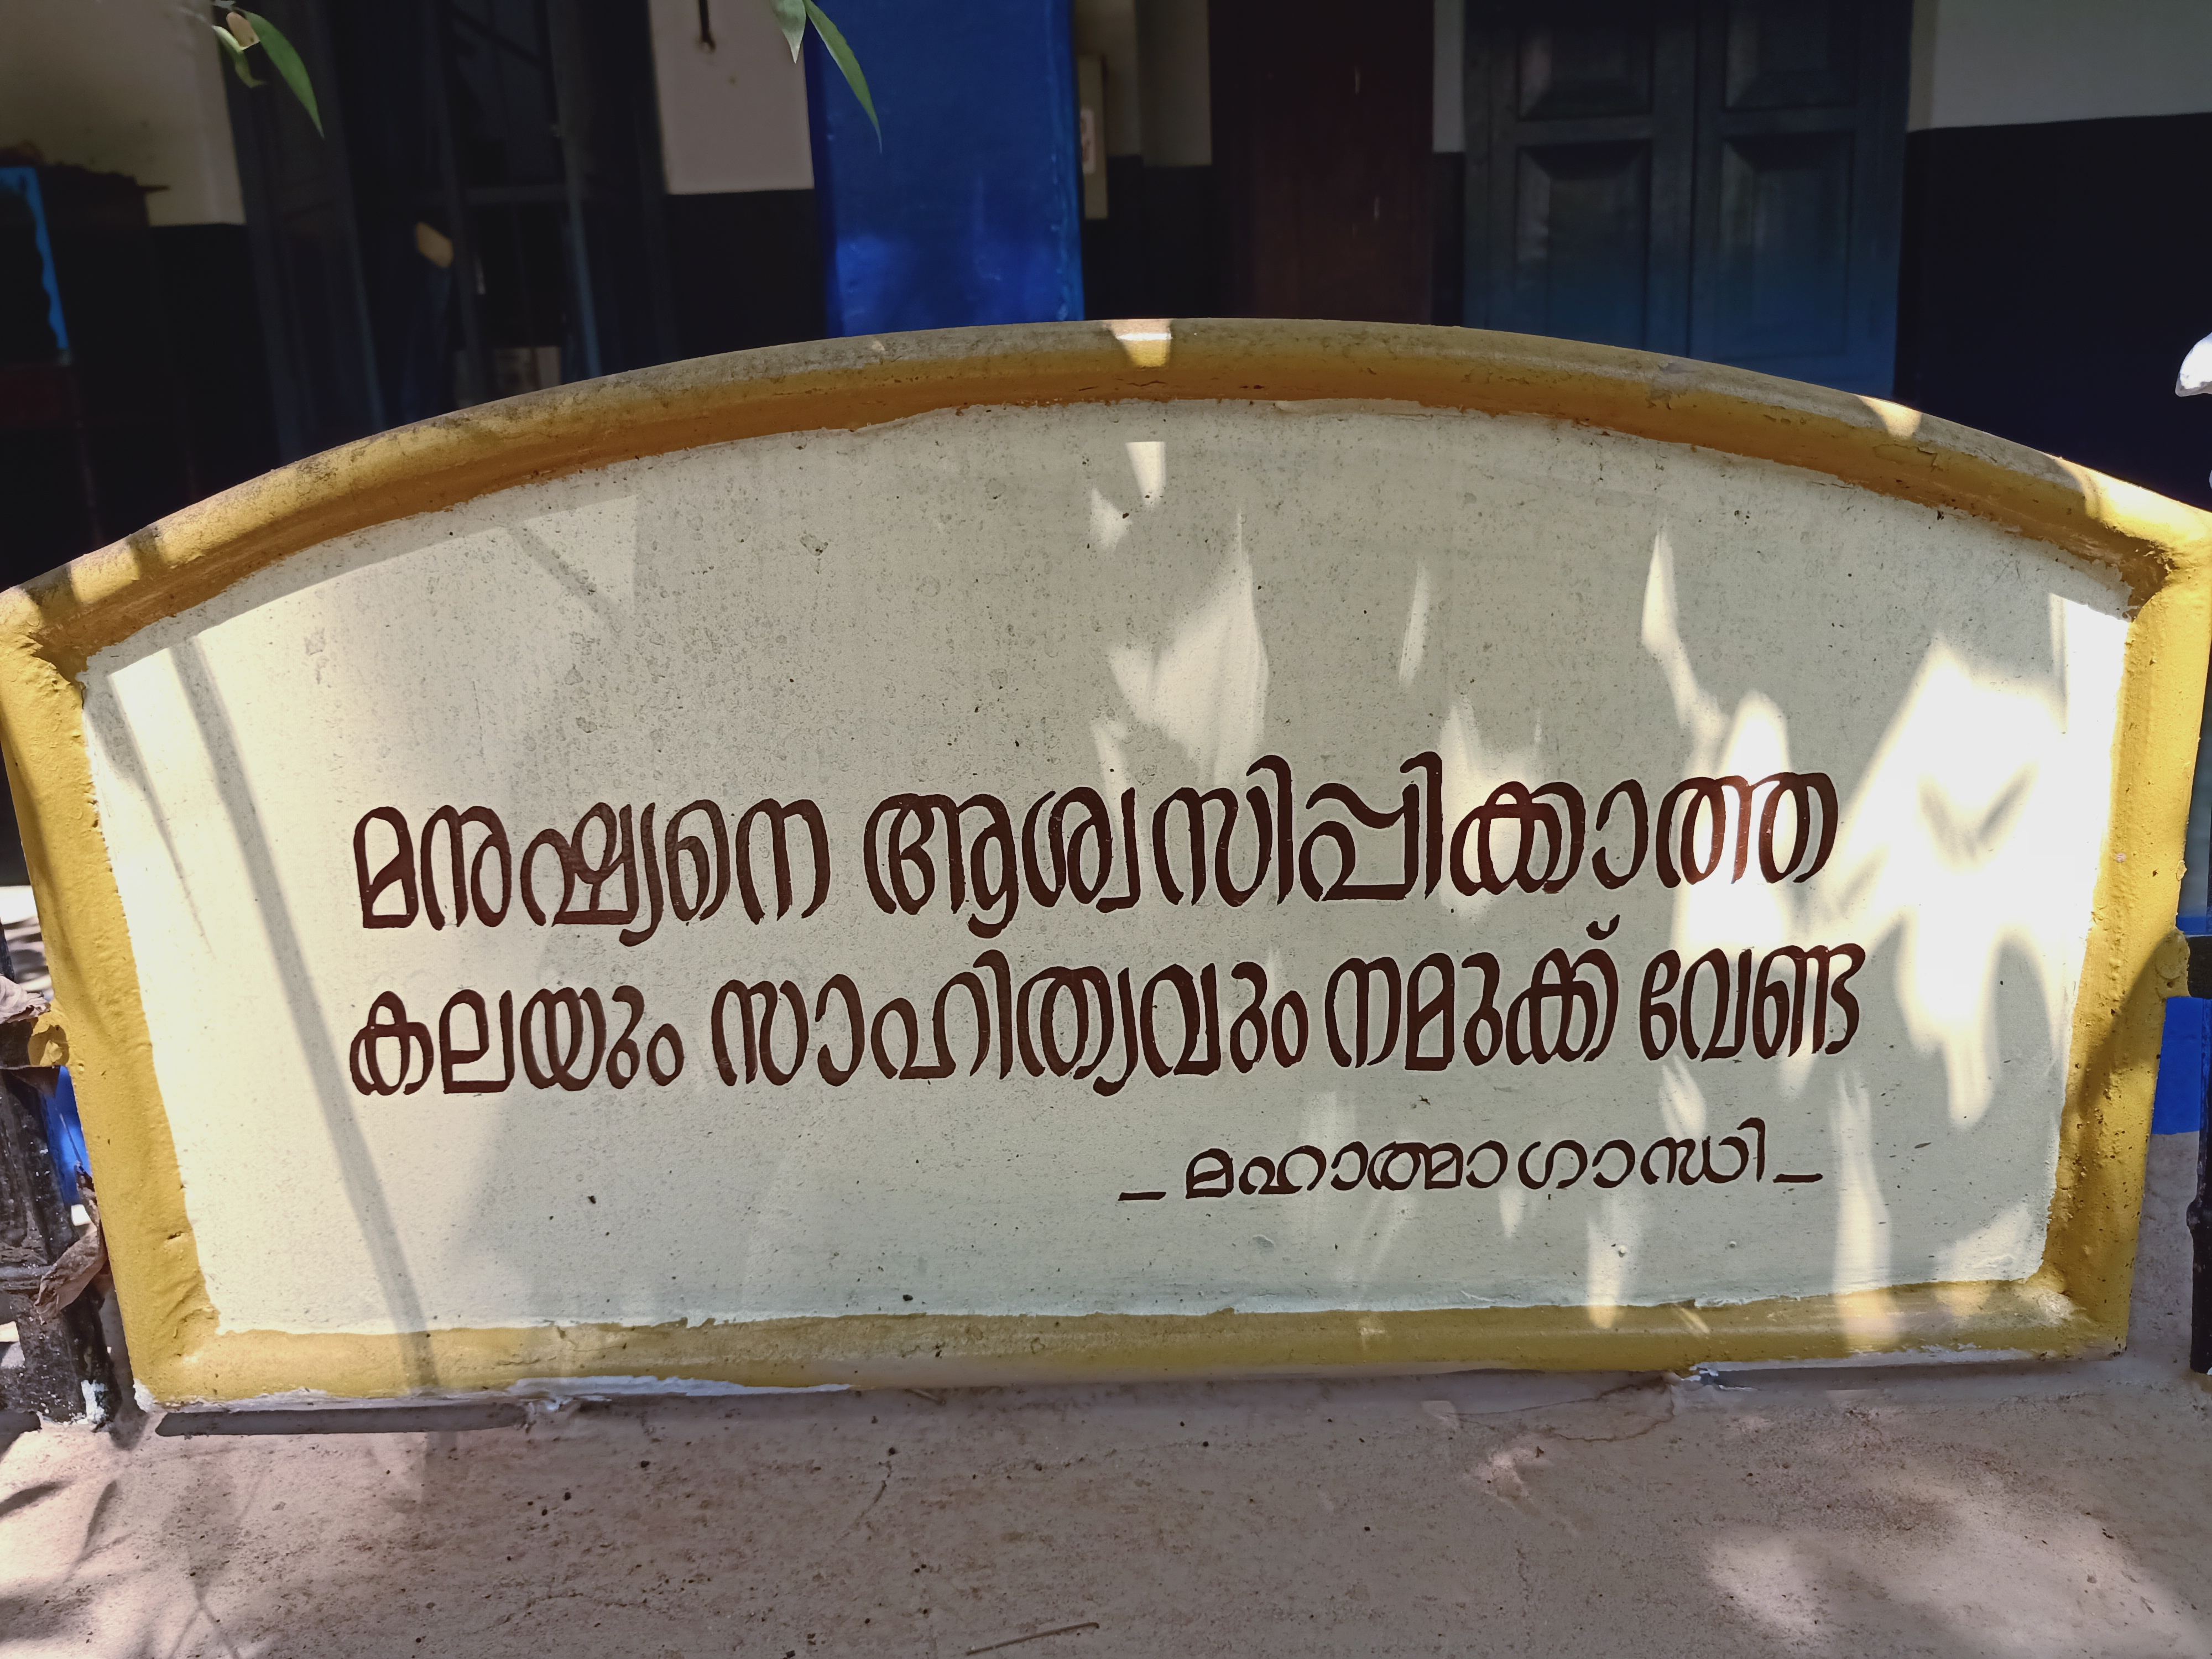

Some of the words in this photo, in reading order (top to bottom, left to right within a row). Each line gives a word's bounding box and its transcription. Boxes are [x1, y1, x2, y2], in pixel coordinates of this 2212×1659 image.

[356, 790, 835, 951] മനുഷ്യനെ
[857, 746, 1845, 942] ആശ്വസിപ്പിക്കാത്ത
[344, 980, 691, 1098] കലയും
[705, 940, 1315, 1100] സാഹിത്യവും
[1318, 906, 1872, 1077] നമുക്ക് വേണ്ട
[1181, 1112, 1770, 1201] മഹാത്മാഗാന്ധി